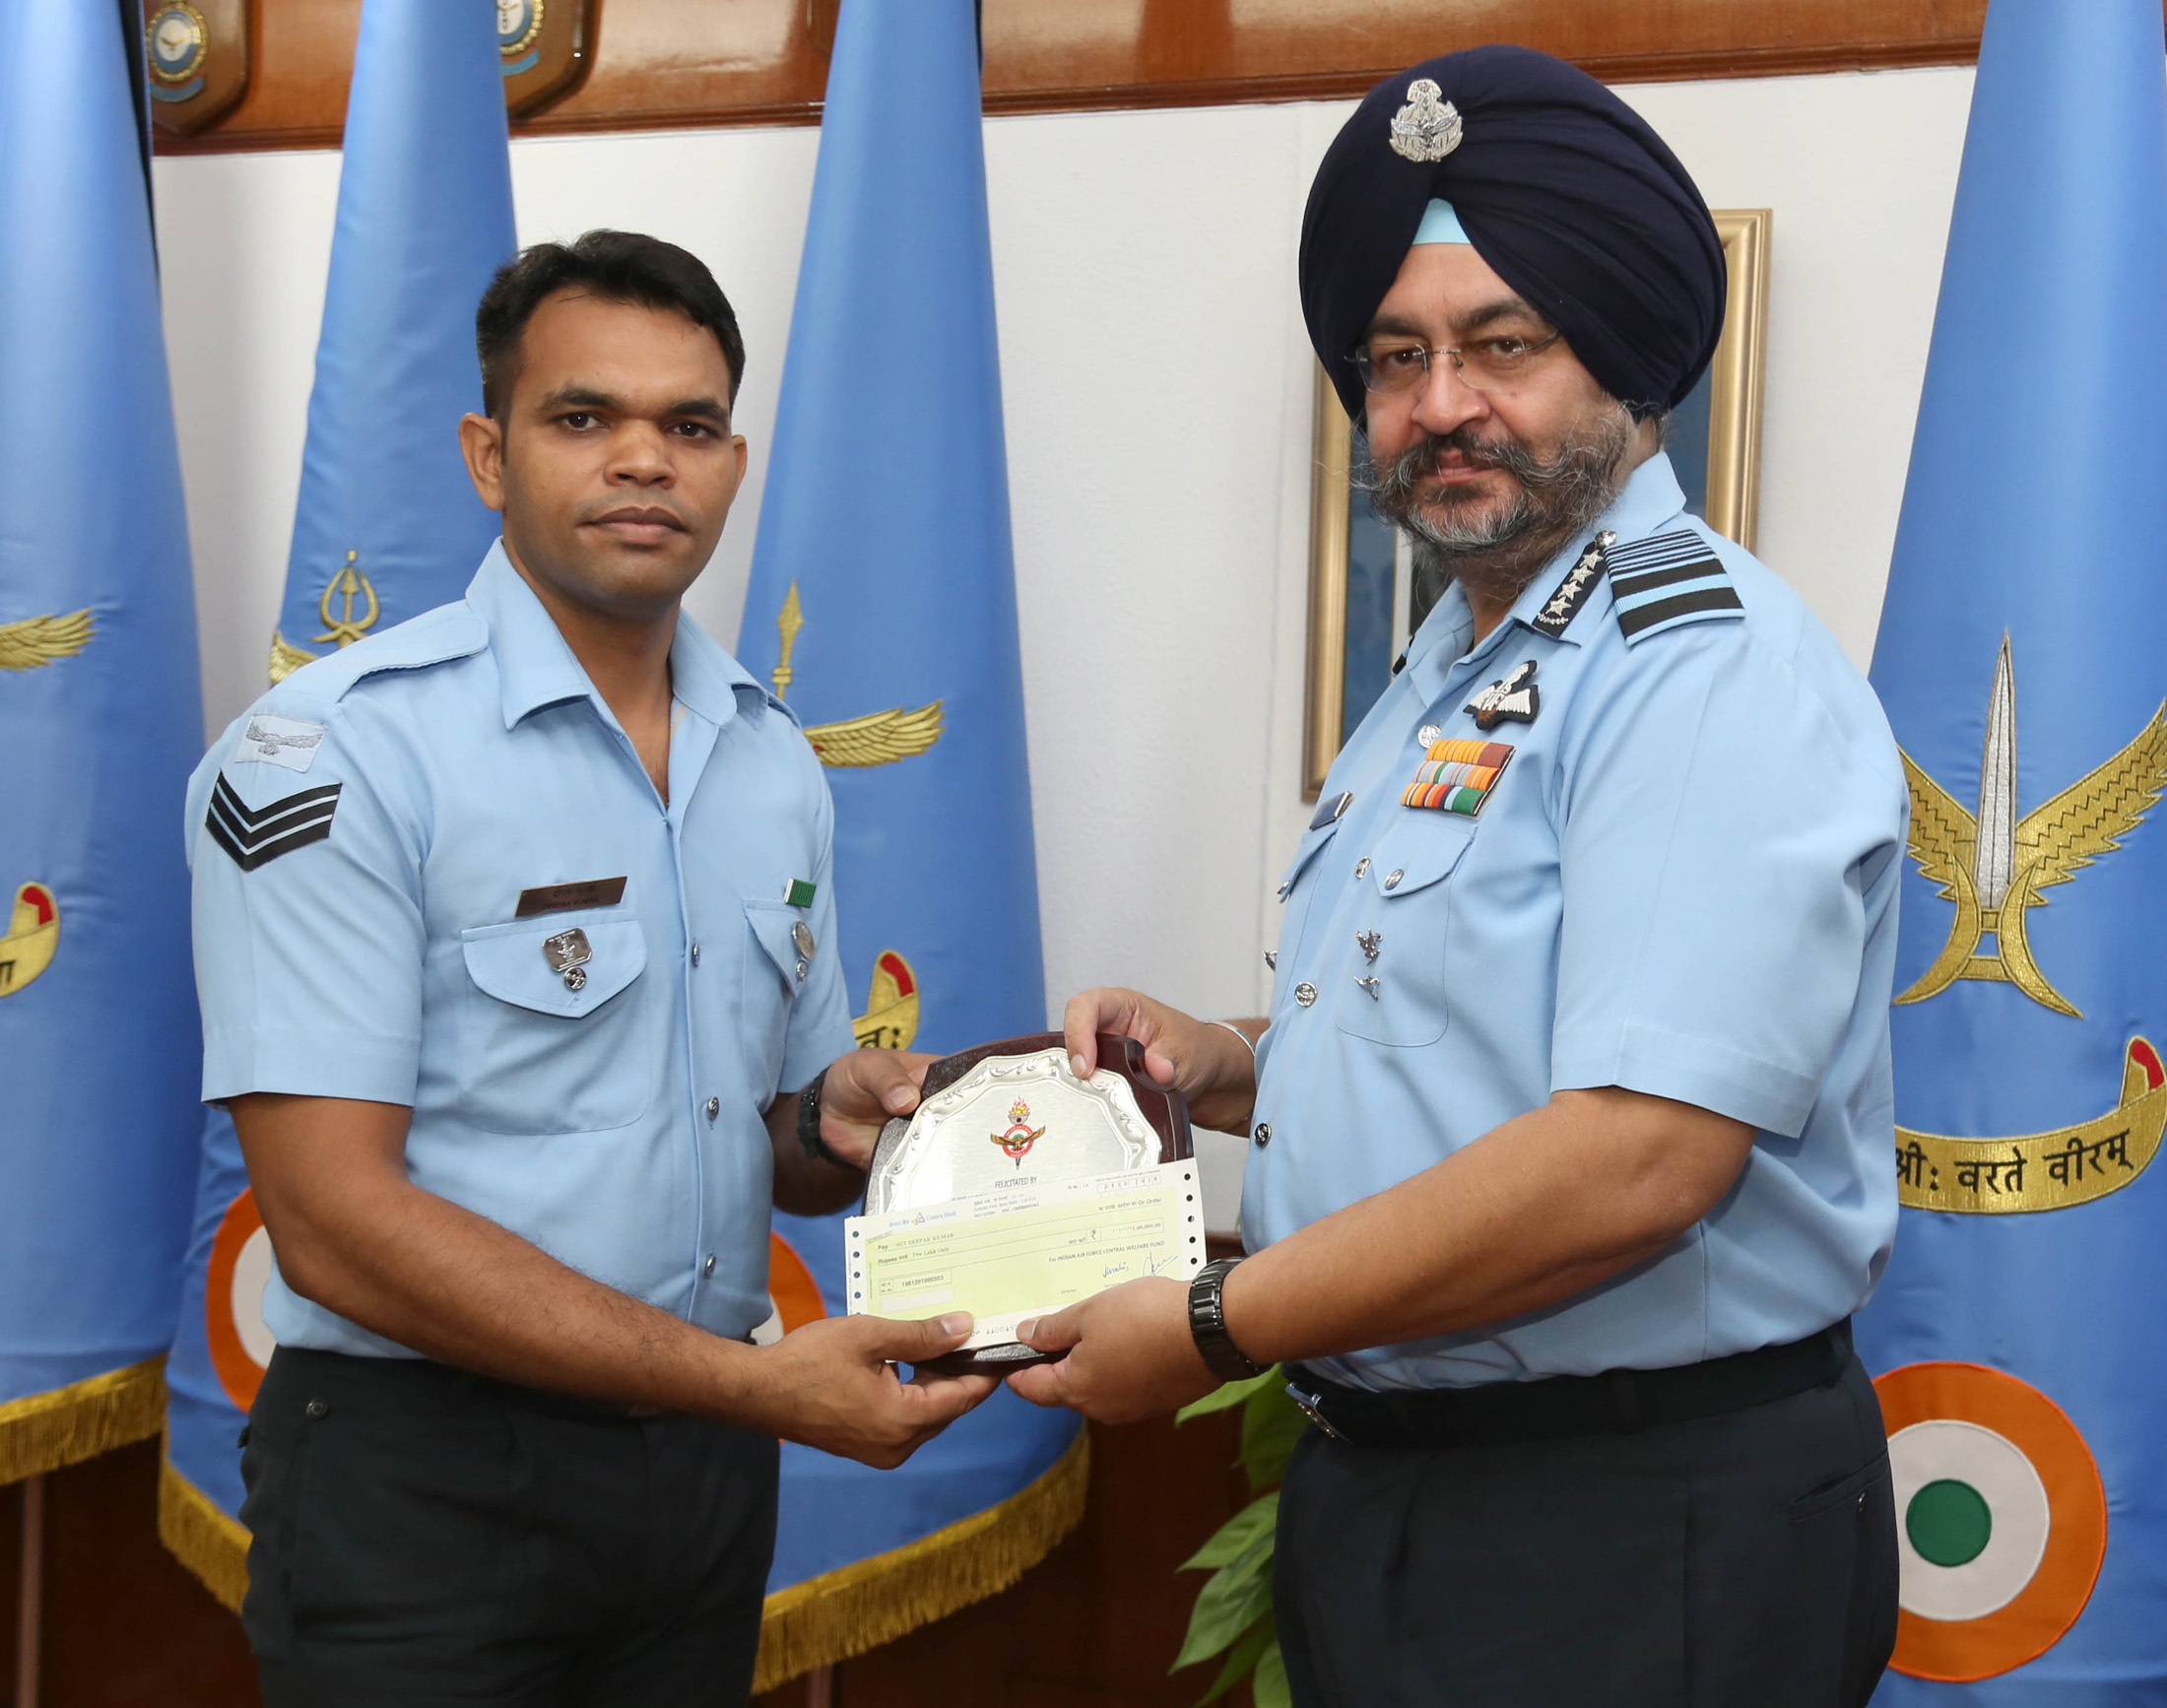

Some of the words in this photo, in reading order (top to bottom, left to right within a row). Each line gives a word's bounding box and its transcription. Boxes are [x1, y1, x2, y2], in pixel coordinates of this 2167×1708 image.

[1889, 1140, 1939, 1198] श्रीः
[1950, 1144, 2032, 1197] वरते
[2041, 1127, 2135, 1190] वीरम्